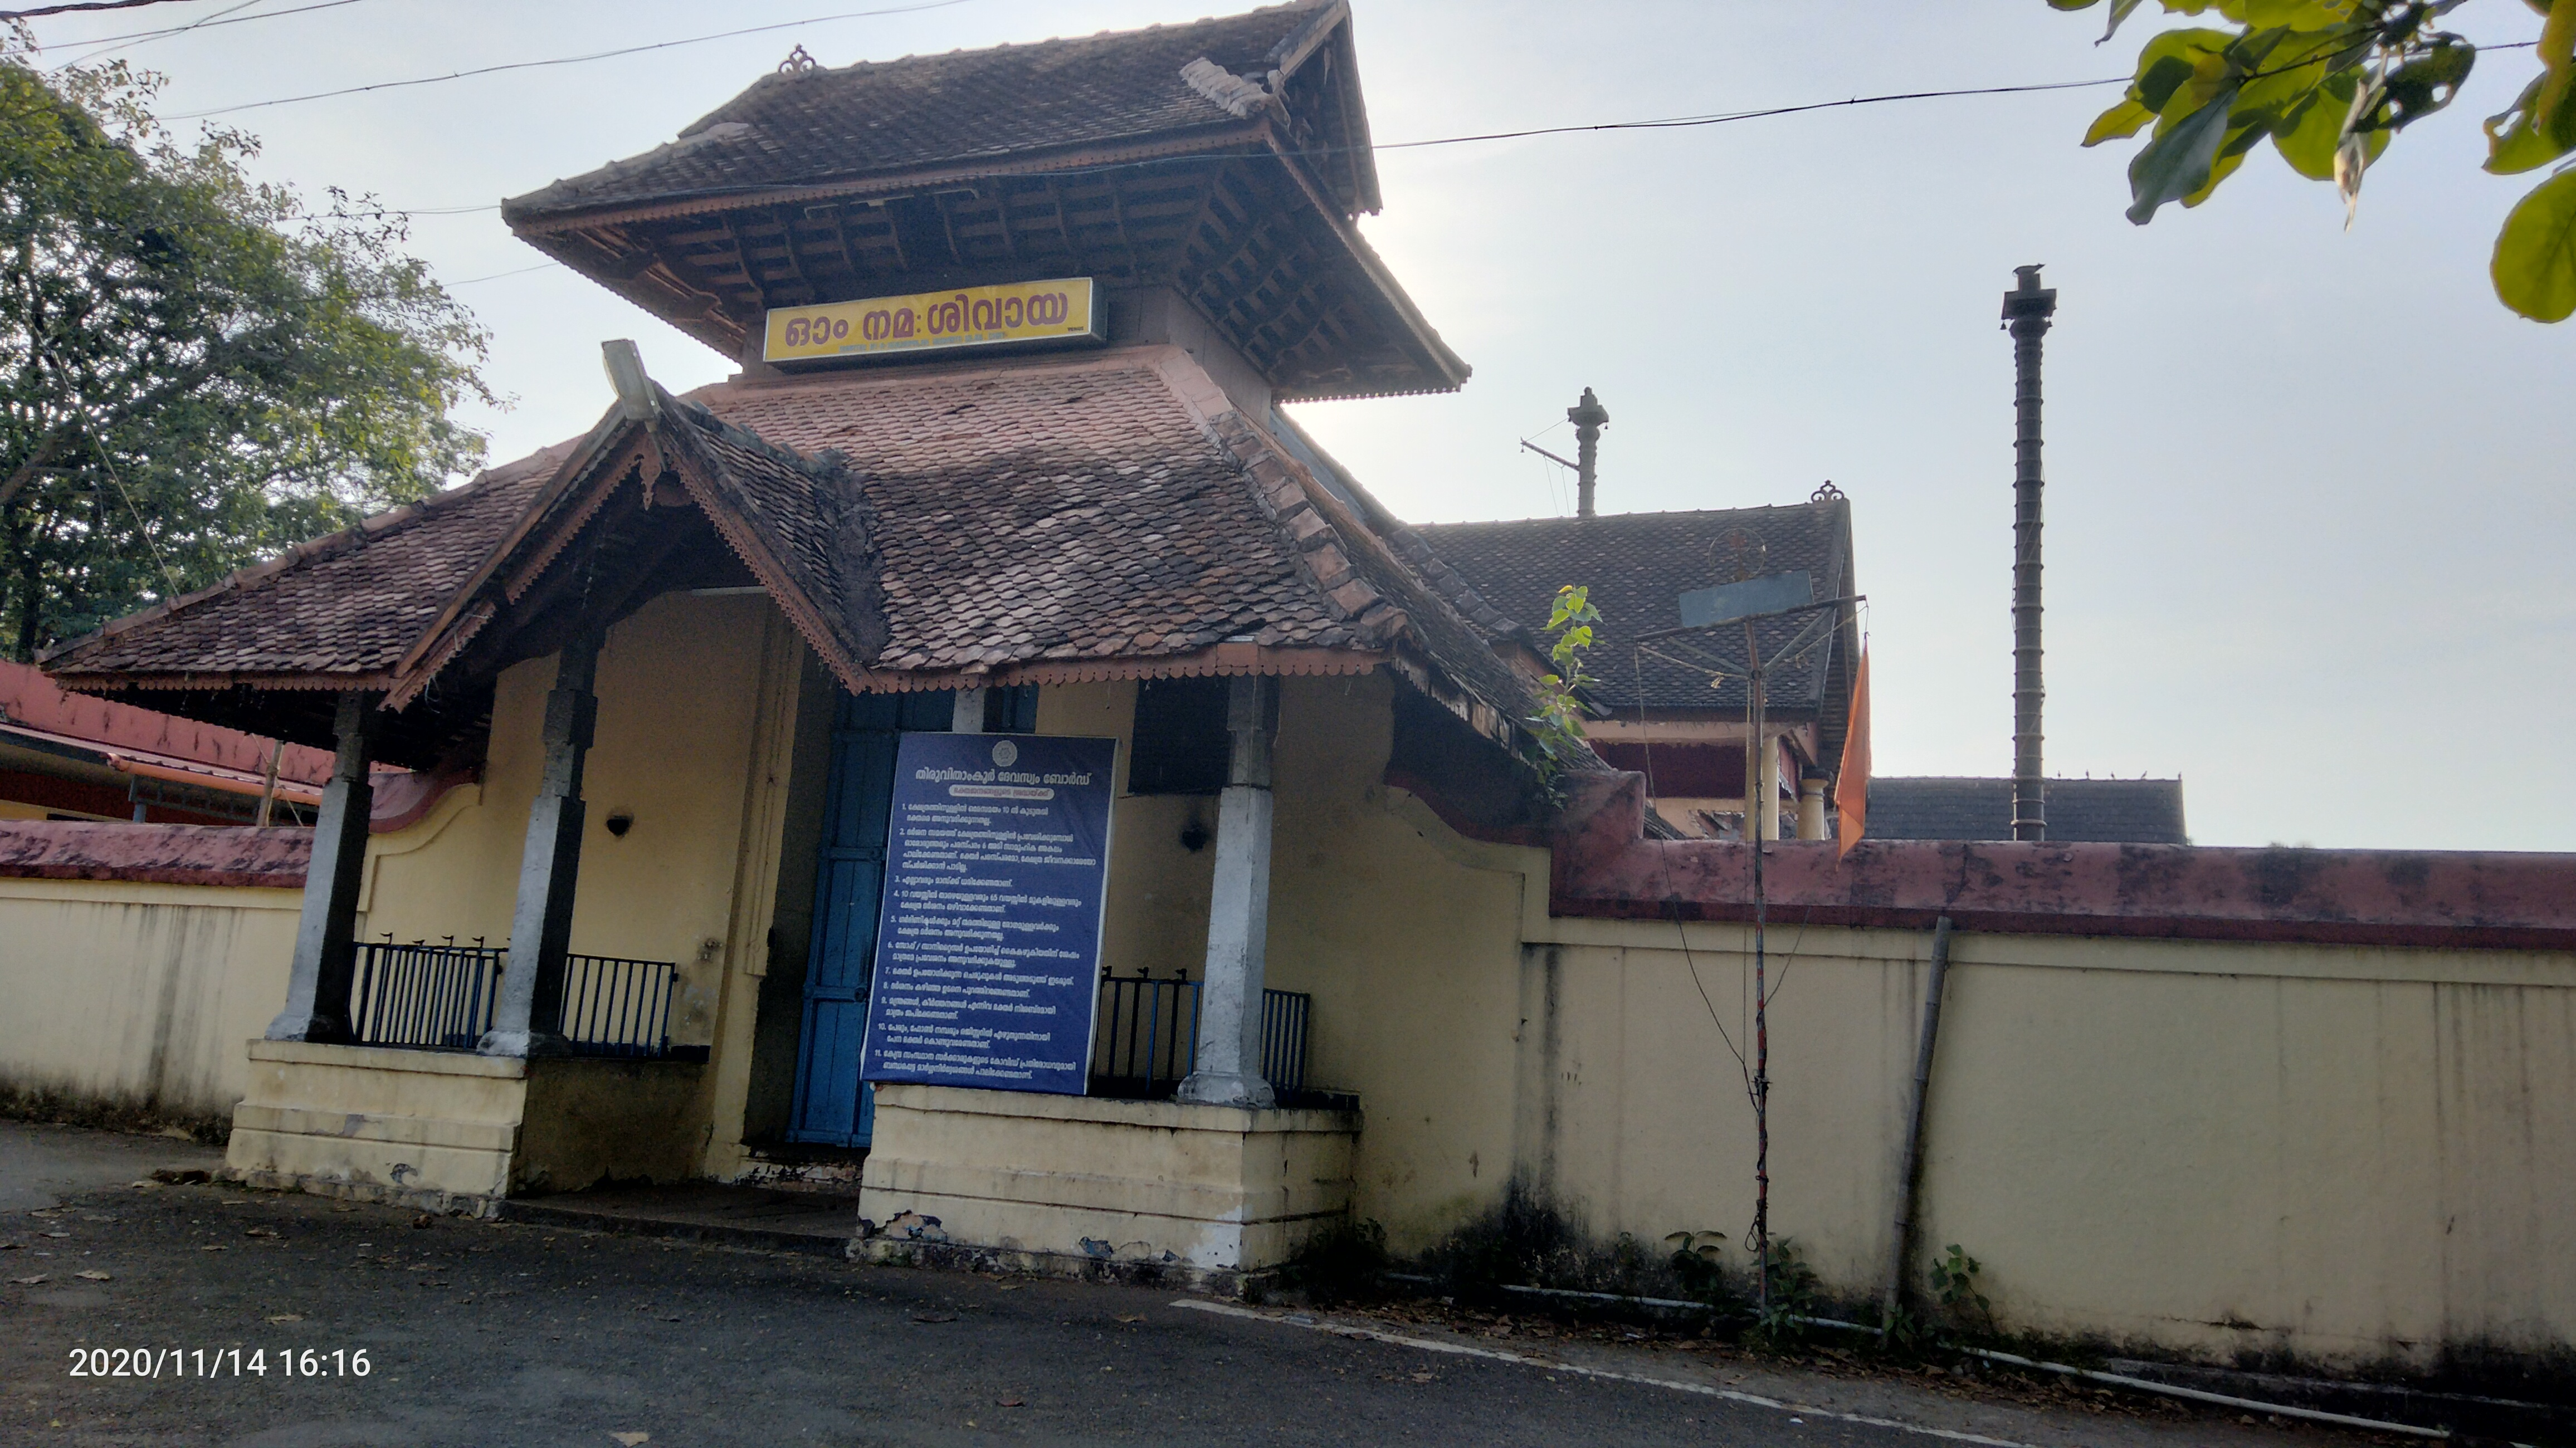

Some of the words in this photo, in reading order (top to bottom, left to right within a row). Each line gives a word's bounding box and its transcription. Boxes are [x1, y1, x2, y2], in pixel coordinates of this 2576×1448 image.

[926, 287, 1070, 336] ശിവായ
[779, 307, 854, 350] ഓം
[856, 297, 923, 348] നമ:
[912, 762, 998, 786] തിരുവിതാംകൂർ
[996, 769, 1044, 789] ദേവസ്വം
[1041, 768, 1096, 790] ബോർ‌ഡ്
[951, 786, 1013, 799] ഭക്തജനങ്ങളുടെ
[1009, 787, 1052, 800] ശ്രദ്ധയ്ക്ക്
[904, 810, 933, 824] ഭക്തരെ
[904, 799, 969, 815] ക്ഷേത്രത്തിനുള്ളിൽ
[929, 811, 992, 829] അനുവദിക്കുന്നതല്ല
[964, 802, 1004, 816] ഒരേസമയം
[1016, 804, 1052, 819] കൂടുതൽ
[904, 823, 930, 838] ദർശന
[899, 858, 947, 873] സ്‌പർജിക്കാൻ
[901, 846, 960, 862] പാലിക്കേണതാണ്.
[925, 826, 959, 839] സമയത്ത്
[944, 859, 970, 875] പാടില്ല
[947, 838, 984, 852] പരസ്‌പരം
[958, 848, 982, 863] ഭക്തർ
[979, 840, 988, 852] 6
[955, 826, 1018, 844] ക്ഷേത്രത്തിനുള്ളിൽ
[978, 849, 1022, 865] പരസ്‌പരമോ
[984, 838, 1040, 855] അടി സാമൂഹിക
[1018, 852, 1046, 866] ക്ഷേത്ര
[1012, 829, 1077, 845] പ്രവേശിക്കുമ്പോൾ
[1035, 842, 1066, 855] അകലം
[1040, 852, 1099, 869] ജീവനക്കാരേയോ
[932, 872, 963, 887] മാസ്‌ക്ക്
[958, 875, 1014, 889] ധരിക്കേണ്ടതാണ്
[896, 899, 925, 912] ക്ഷേത്ര
[899, 887, 941, 901] 10 വയസ്സിൽ
[919, 897, 948, 912] ദർ‌ശനം
[936, 889, 991, 904] താഴെയുള്ളവരും
[943, 898, 1009, 916] ഒഴിവാക്കേണ്ടതാണ്
[987, 892, 1001, 905] 65
[996, 891, 1030, 907] വയസ്സിൽ
[1027, 893, 1084, 909] മുകളിലുള്ളവരും
[916, 924, 945, 940] ദർശനം
[948, 915, 963, 928] മറ്റ്
[942, 927, 1006, 944] അനുവദിക്കുന്നതല്ല
[960, 915, 1003, 933] തരത്തിലുള്ള
[1000, 917, 1061, 933] രോഗമുള്ളവർക്കും
[890, 950, 918, 963] മാത്രമേ
[914, 952, 949, 964] പ്രവേശനം
[918, 940, 965, 953] യാനിറ്റൈസർ
[945, 952, 1019, 970] അനുവദിക്കുകയുള്ളു
[999, 943, 1061, 960] കൈകഴുകിയതിന്
[1057, 947, 1084, 961] ശേഷം
[886, 978, 916, 994] ദർശനം
[912, 979, 944, 996] കഴിഞ്ഞ
[911, 963, 964, 982] ഉപയോഗിക്കുന്ന
[939, 982, 964, 996] ഉടനെ
[962, 968, 1005, 984] ചെരുപ്പുകൾ
[960, 984, 1032, 1001] പുറത്തിറങ്ങേണ്ടതാണ്
[1001, 971, 1050, 986] അടുത്തടുത്ത്
[1045, 973, 1076, 990] ഇടരുത്
[882, 1002, 907, 1021] മാത്രം
[886, 995, 922, 1007] മന്ത്രങ്ങൾ
[901, 1006, 962, 1023] ജപിക്കേണ്ടതാണ്
[920, 996, 970, 1010] കീർത്തനങ്ങൾ
[965, 999, 994, 1014] എന്നിവ
[1011, 1000, 1061, 1019] നിശബ്ദമായി
[885, 1031, 904, 1045] പേന
[886, 1019, 912, 1034] പേരും
[906, 1021, 937, 1036] ഫോൺ
[934, 1023, 961, 1039] നമ്പരും
[920, 1035, 993, 1051] കൊണ്ടുവരേണ്ടതാണ്
[958, 1023, 996, 1039] രജിസ്റ്ററിൽ
[992, 1027, 1053, 1043] എഴുതുന്നതിനായി
[881, 1058, 920, 1073] ബന്ധപ്പെട്ട
[900, 1048, 937, 1063] സംസ്ഥാ‍ന
[932, 1046, 991, 1067] സർക്കാരുകളുടെ
[986, 1055, 1022, 1069] കോവിഡ്
[973, 1064, 1036, 1082] പാലിക്കേണ്ടതാണ്
[1017, 1056, 1079, 1073] പ്രതിരോധവുമായി
[59, 1336, 160, 1382] 2020
[169, 1342, 279, 1382] 11/14
[272, 1342, 377, 1381] 16:16